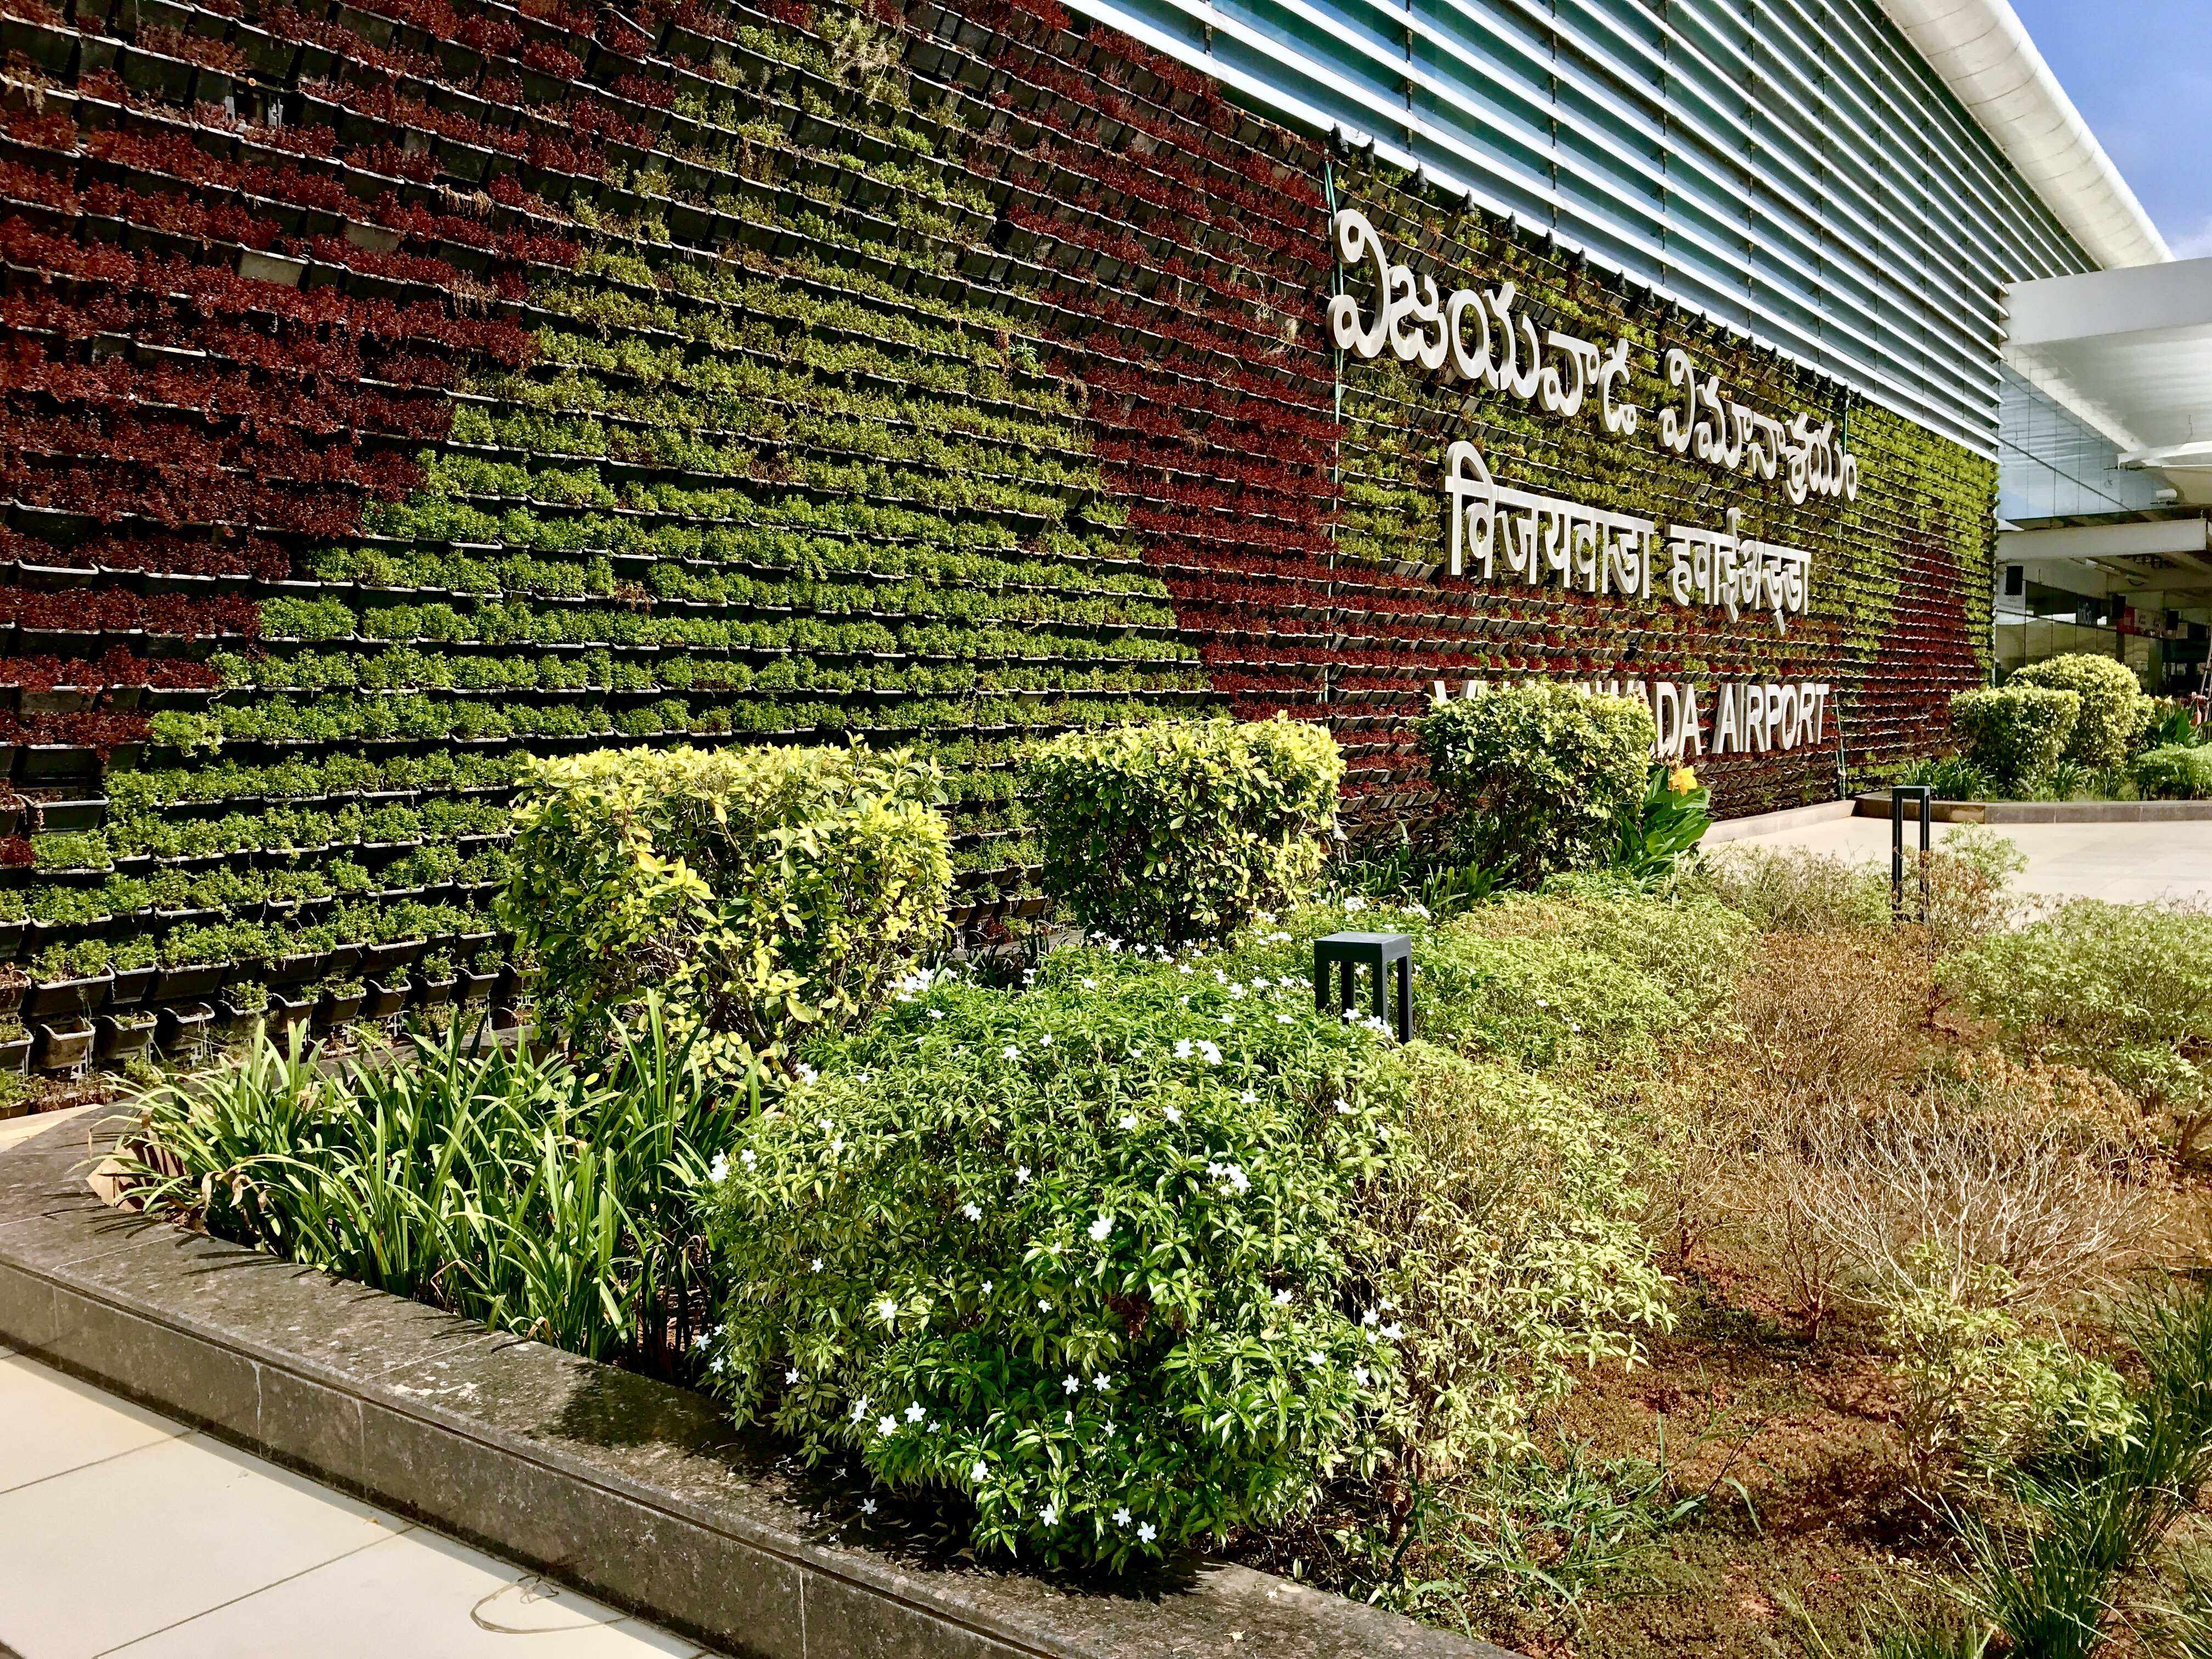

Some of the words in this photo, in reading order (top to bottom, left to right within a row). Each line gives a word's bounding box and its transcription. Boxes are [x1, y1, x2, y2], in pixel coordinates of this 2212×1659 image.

[1323, 201, 1643, 438] విజయవాడ
[1654, 342, 1860, 507] విమానాశ్రమం
[1440, 438, 1656, 602] विजयवाडा
[1665, 505, 1743, 625] हवाई
[1737, 537, 1815, 639] अड्‌डा
[1710, 680, 1835, 758] AIRPORT